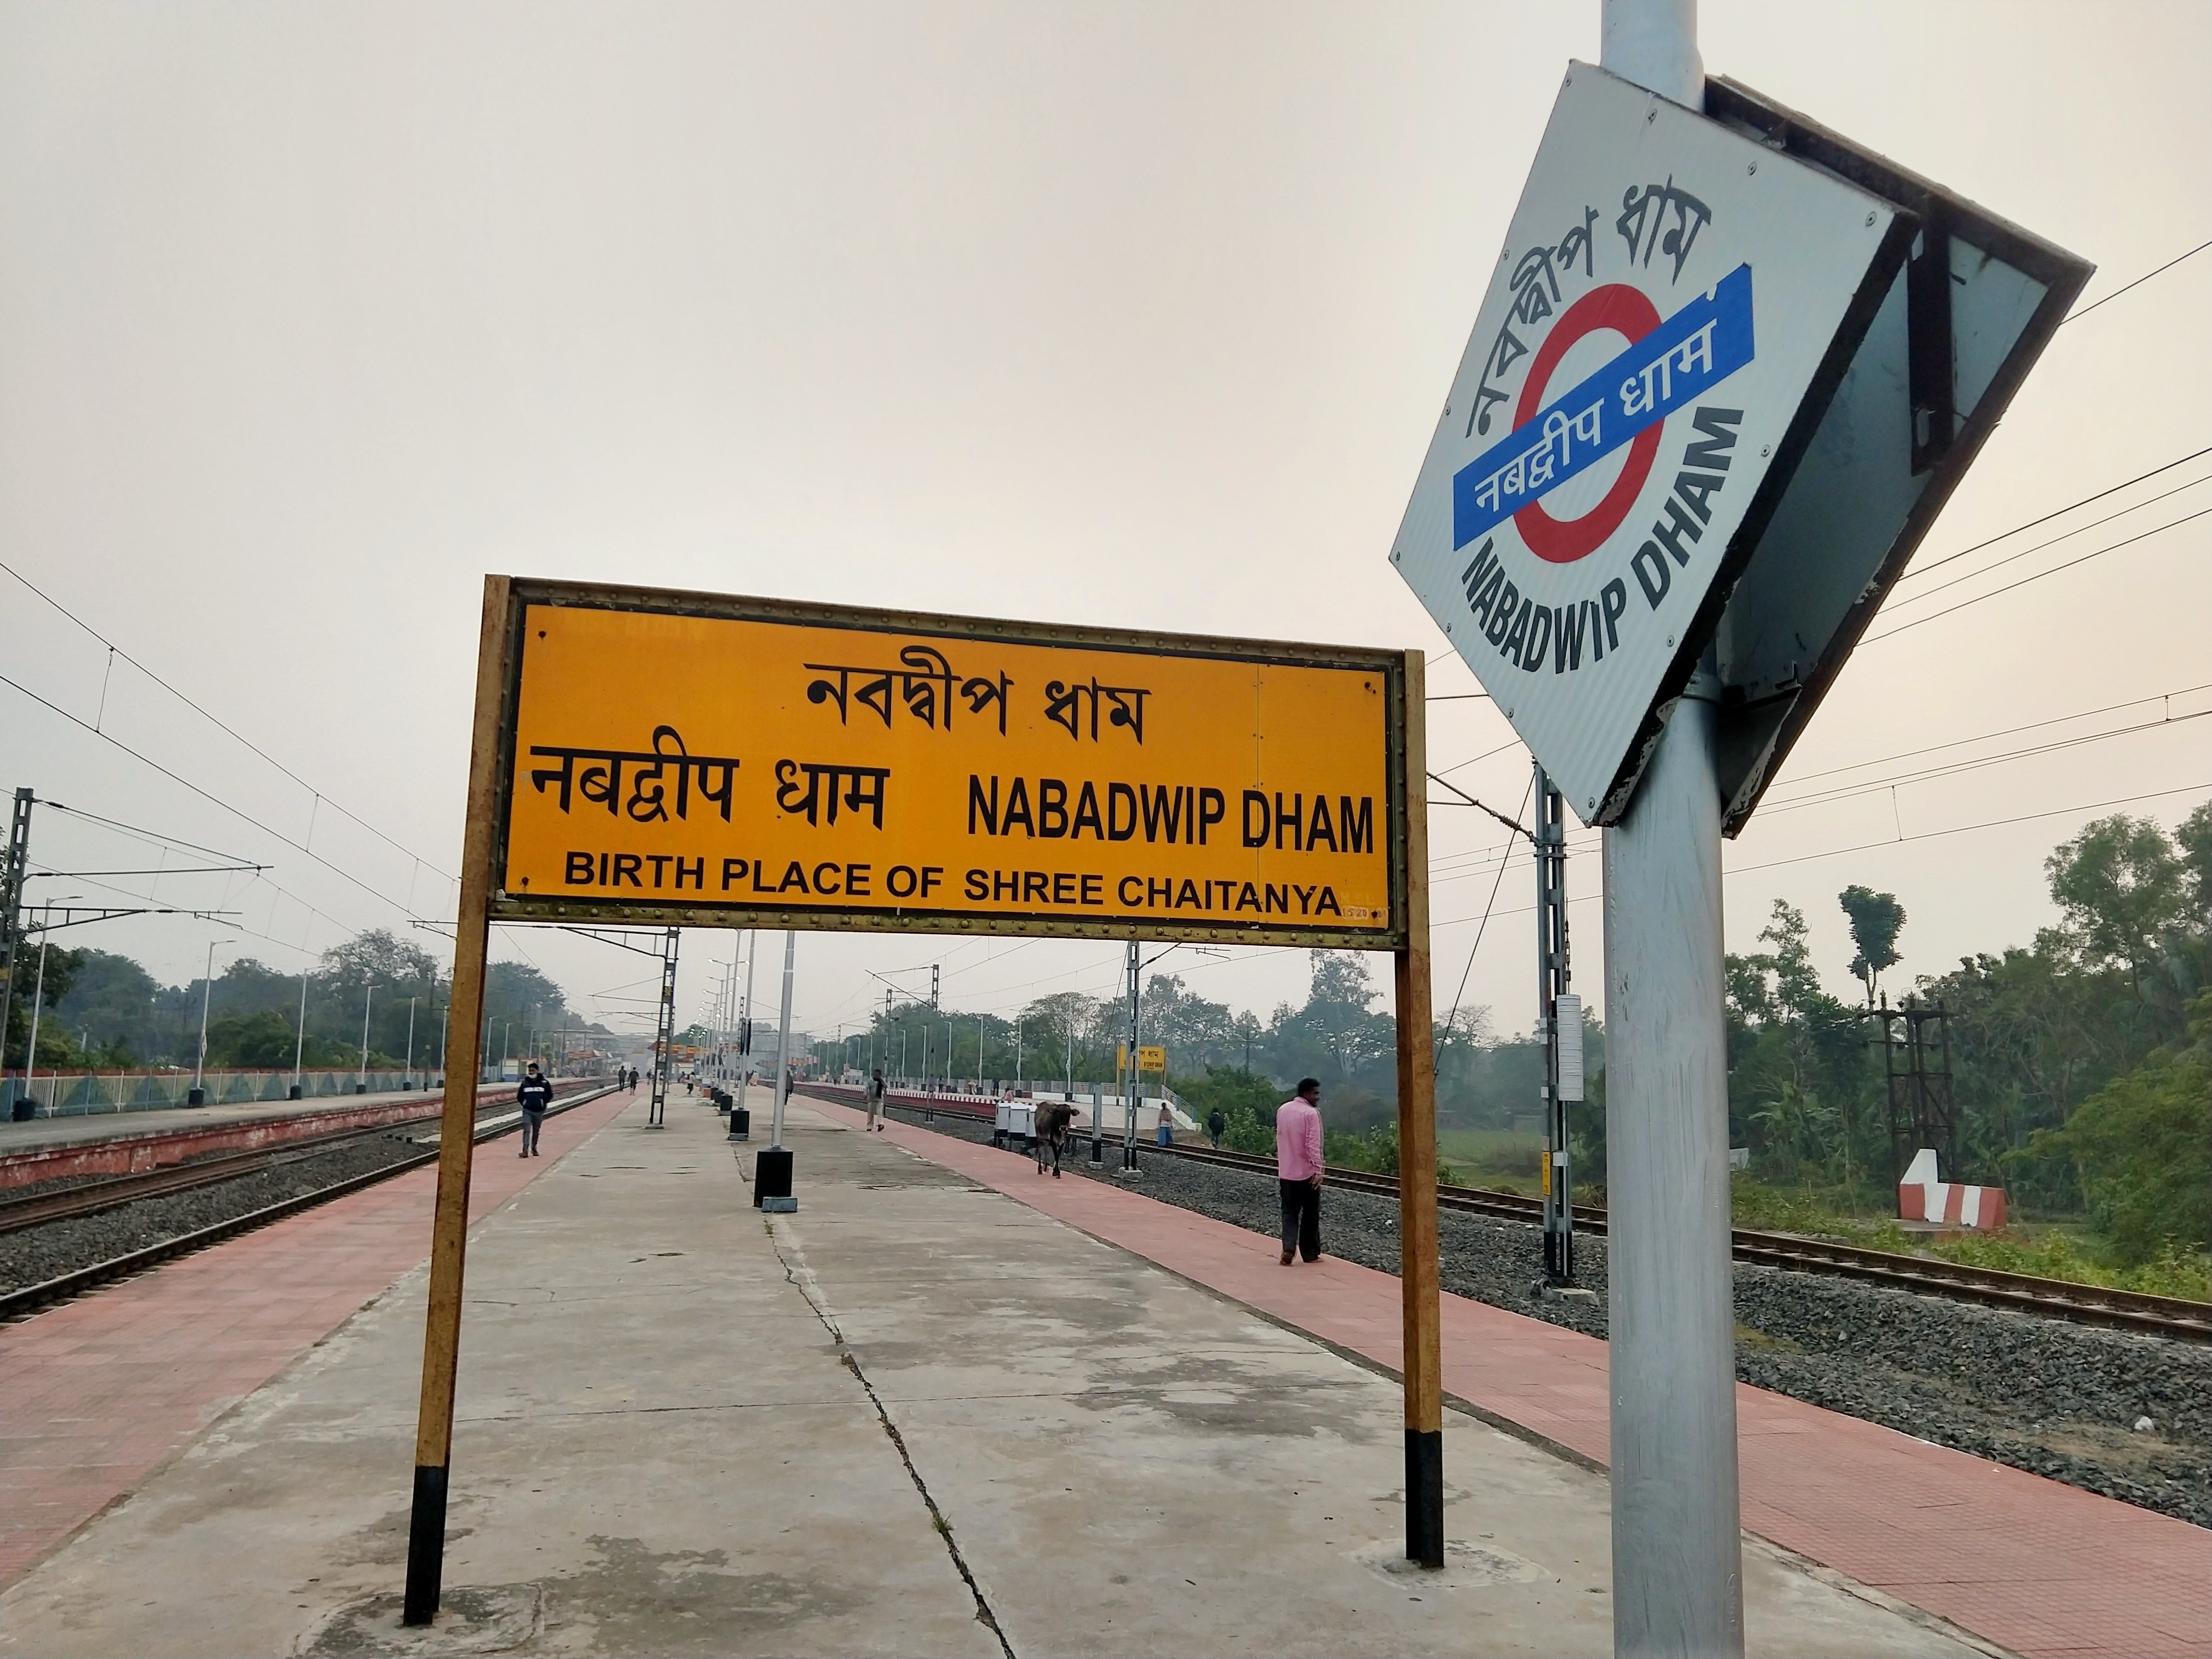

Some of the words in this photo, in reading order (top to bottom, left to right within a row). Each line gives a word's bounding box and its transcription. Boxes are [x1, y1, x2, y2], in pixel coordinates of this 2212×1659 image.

[1612, 171, 1722, 289] ধাম
[1453, 196, 1604, 443] নবদ্বীপ
[1613, 309, 1719, 428] धाम
[1470, 392, 1609, 518] नबद्वीप
[1626, 398, 1754, 619] DHAM
[1452, 537, 1632, 677] NABADWIP
[793, 634, 1023, 743] নবদ্বীপ
[1039, 674, 1153, 753] ধাম
[527, 713, 745, 828] नबद्वीप
[763, 751, 890, 832] धाम
[957, 770, 1233, 848] NABADWIP
[1233, 780, 1380, 861] DHAM
[562, 844, 709, 900] BIRTH
[716, 851, 876, 901] PLACE
[876, 854, 950, 911] OF
[958, 865, 1110, 916] SHREE
[1114, 870, 1351, 924] CHAITANYA